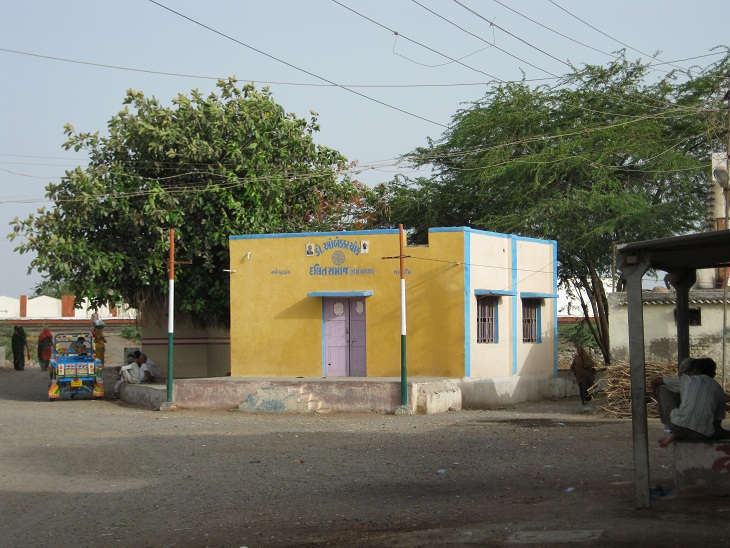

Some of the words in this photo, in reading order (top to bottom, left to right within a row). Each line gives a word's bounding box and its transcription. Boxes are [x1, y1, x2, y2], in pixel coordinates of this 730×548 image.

[325, 238, 363, 252] આંબેડકર ચોક
[59, 365, 94, 375] ભય